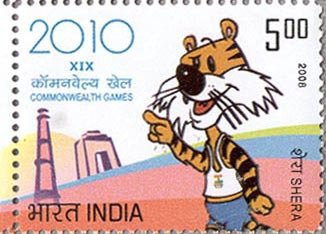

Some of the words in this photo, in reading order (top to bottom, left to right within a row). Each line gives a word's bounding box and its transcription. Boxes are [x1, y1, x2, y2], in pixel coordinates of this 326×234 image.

[25, 13, 137, 58] 2010
[263, 13, 313, 54] 500
[25, 71, 102, 93] कॉमनवेल्थ
[65, 58, 99, 76] XIX
[103, 67, 137, 93] खेल
[295, 60, 310, 90] 2008
[28, 89, 103, 109] COMMONWEALTH
[99, 89, 135, 106] GAMES
[285, 143, 313, 175] शेरा
[24, 199, 82, 225] भारत
[84, 200, 144, 224] INDIA
[287, 175, 307, 223] SHERA